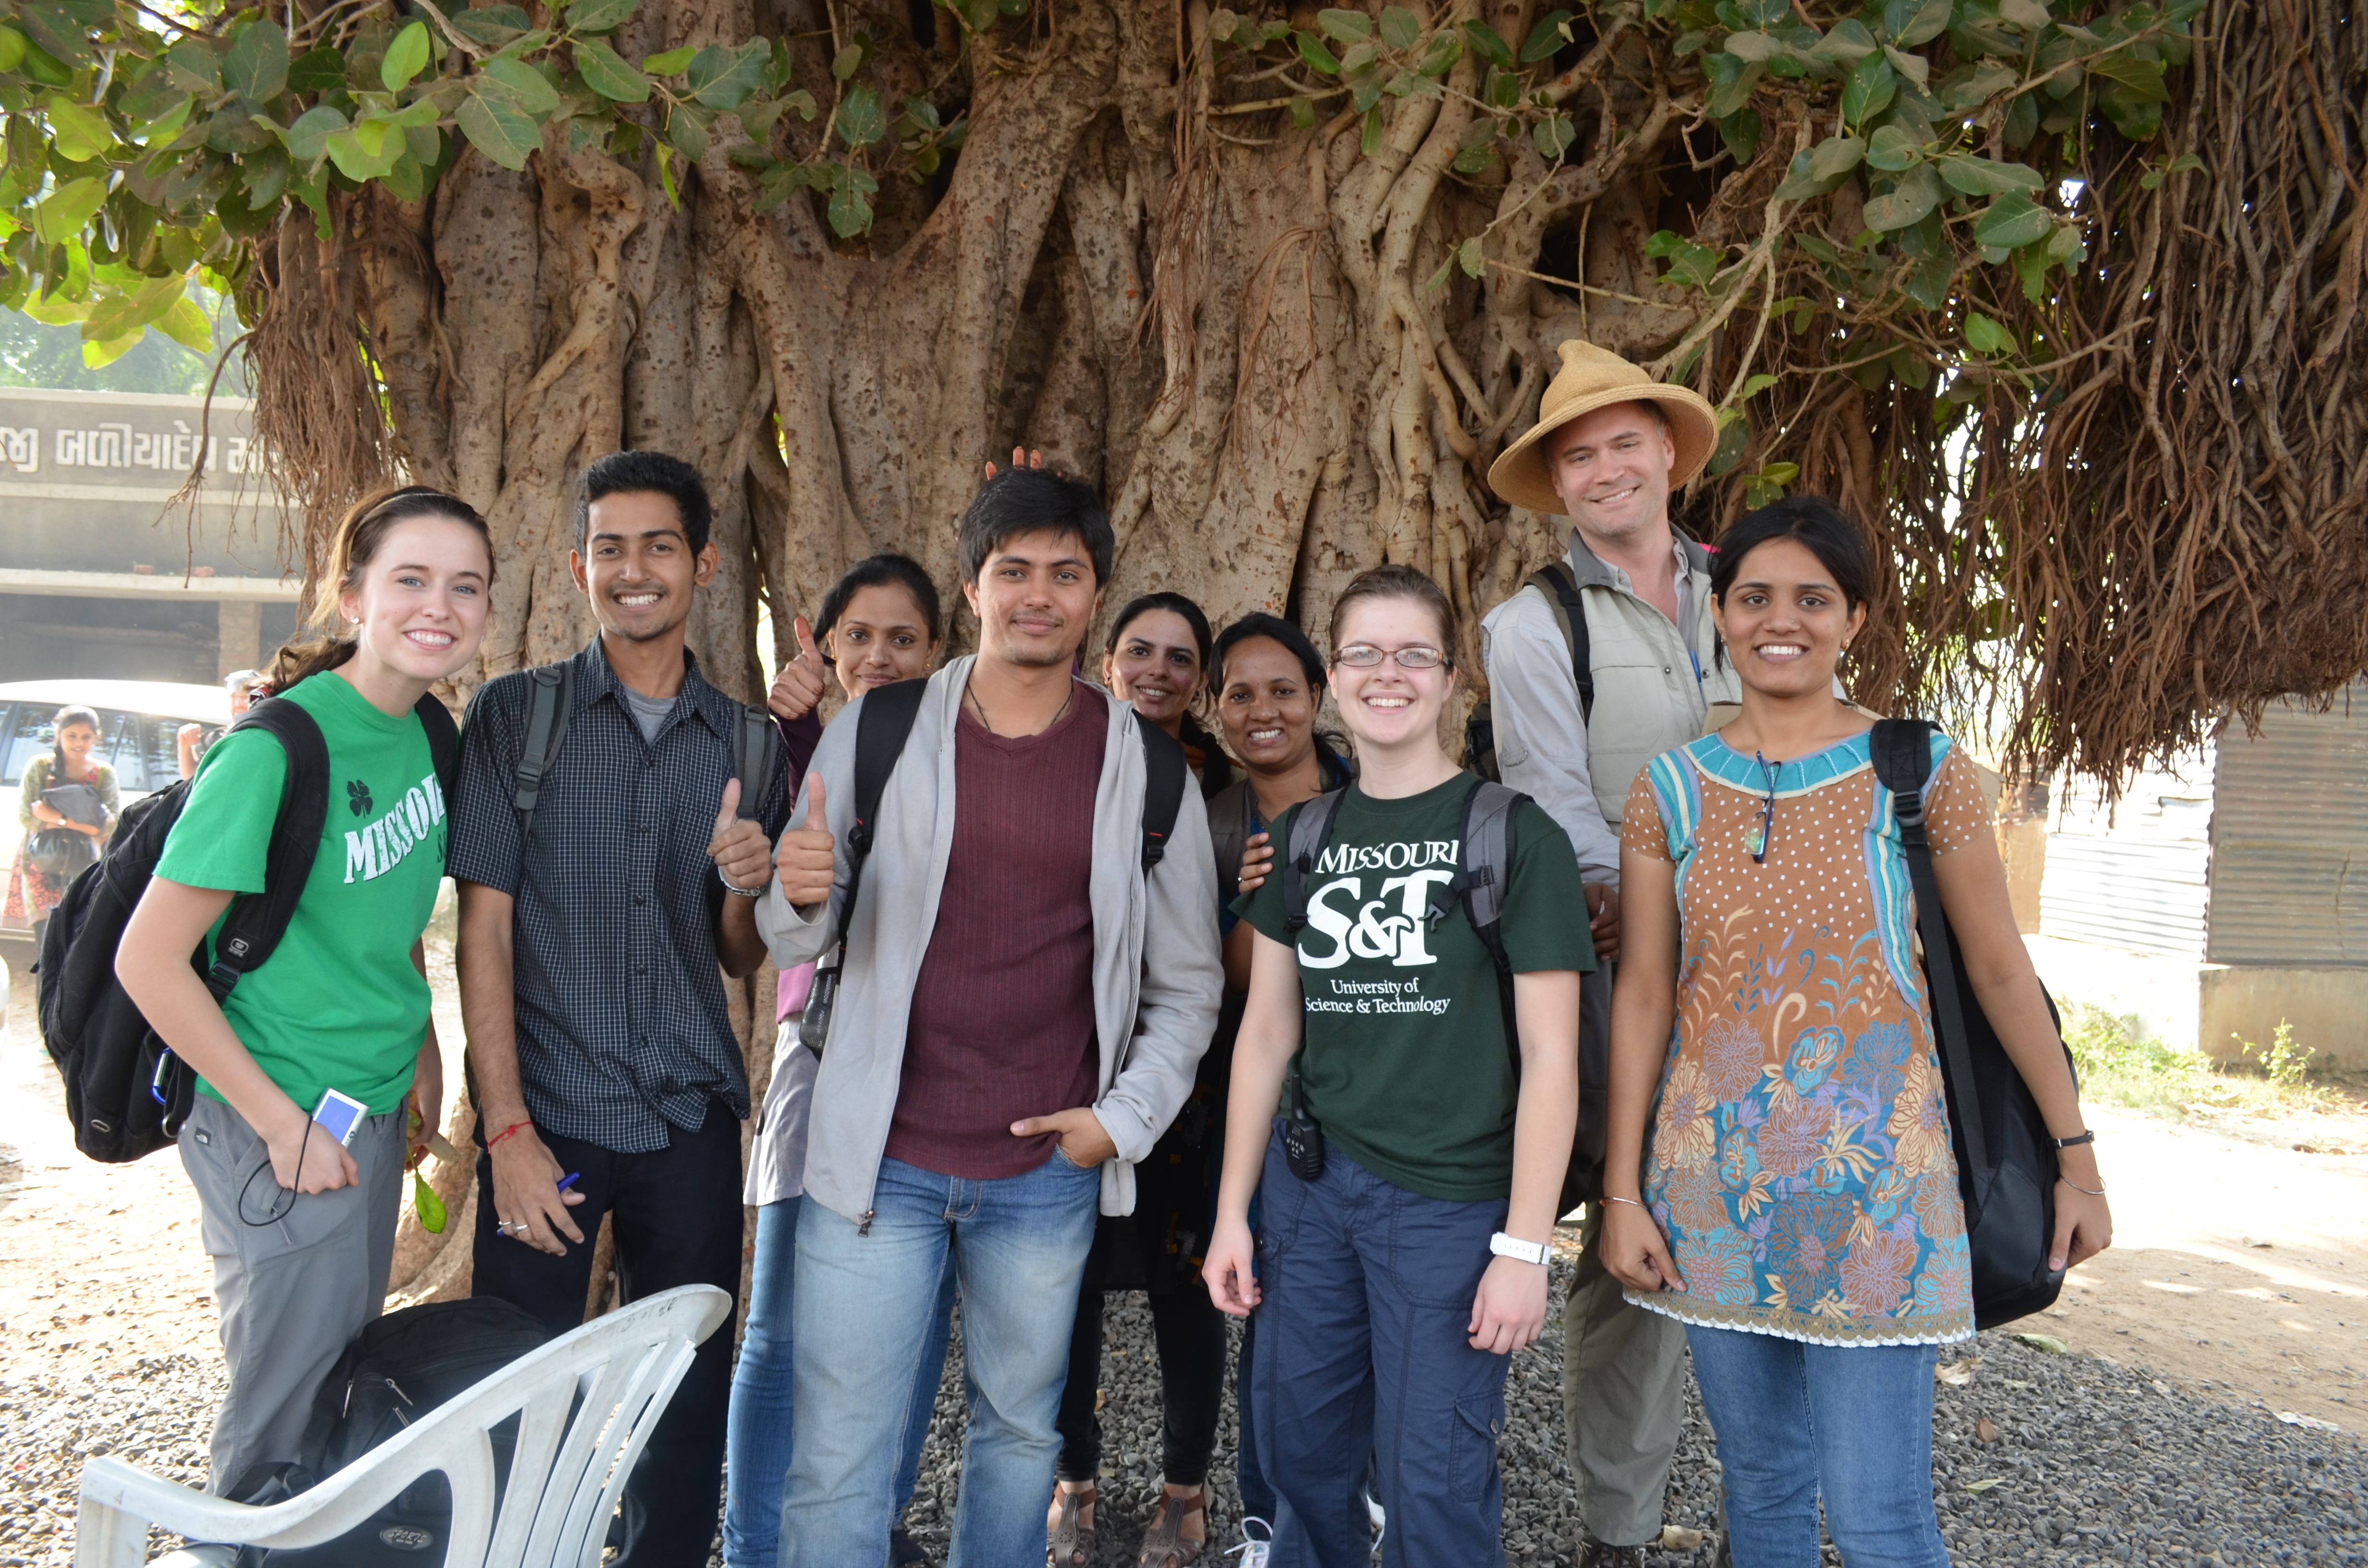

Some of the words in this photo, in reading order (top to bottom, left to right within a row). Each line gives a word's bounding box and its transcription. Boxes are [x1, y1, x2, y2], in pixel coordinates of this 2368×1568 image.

[0, 420, 42, 477] જી
[49, 422, 199, 475] બળીયાદ
[334, 775, 442, 886] MISSOU
[1309, 837, 1457, 878] MISSOURI
[1290, 867, 1446, 980] S&T
[1309, 999, 1442, 1012] Science & Technology
[1334, 978, 1418, 995] Universityof